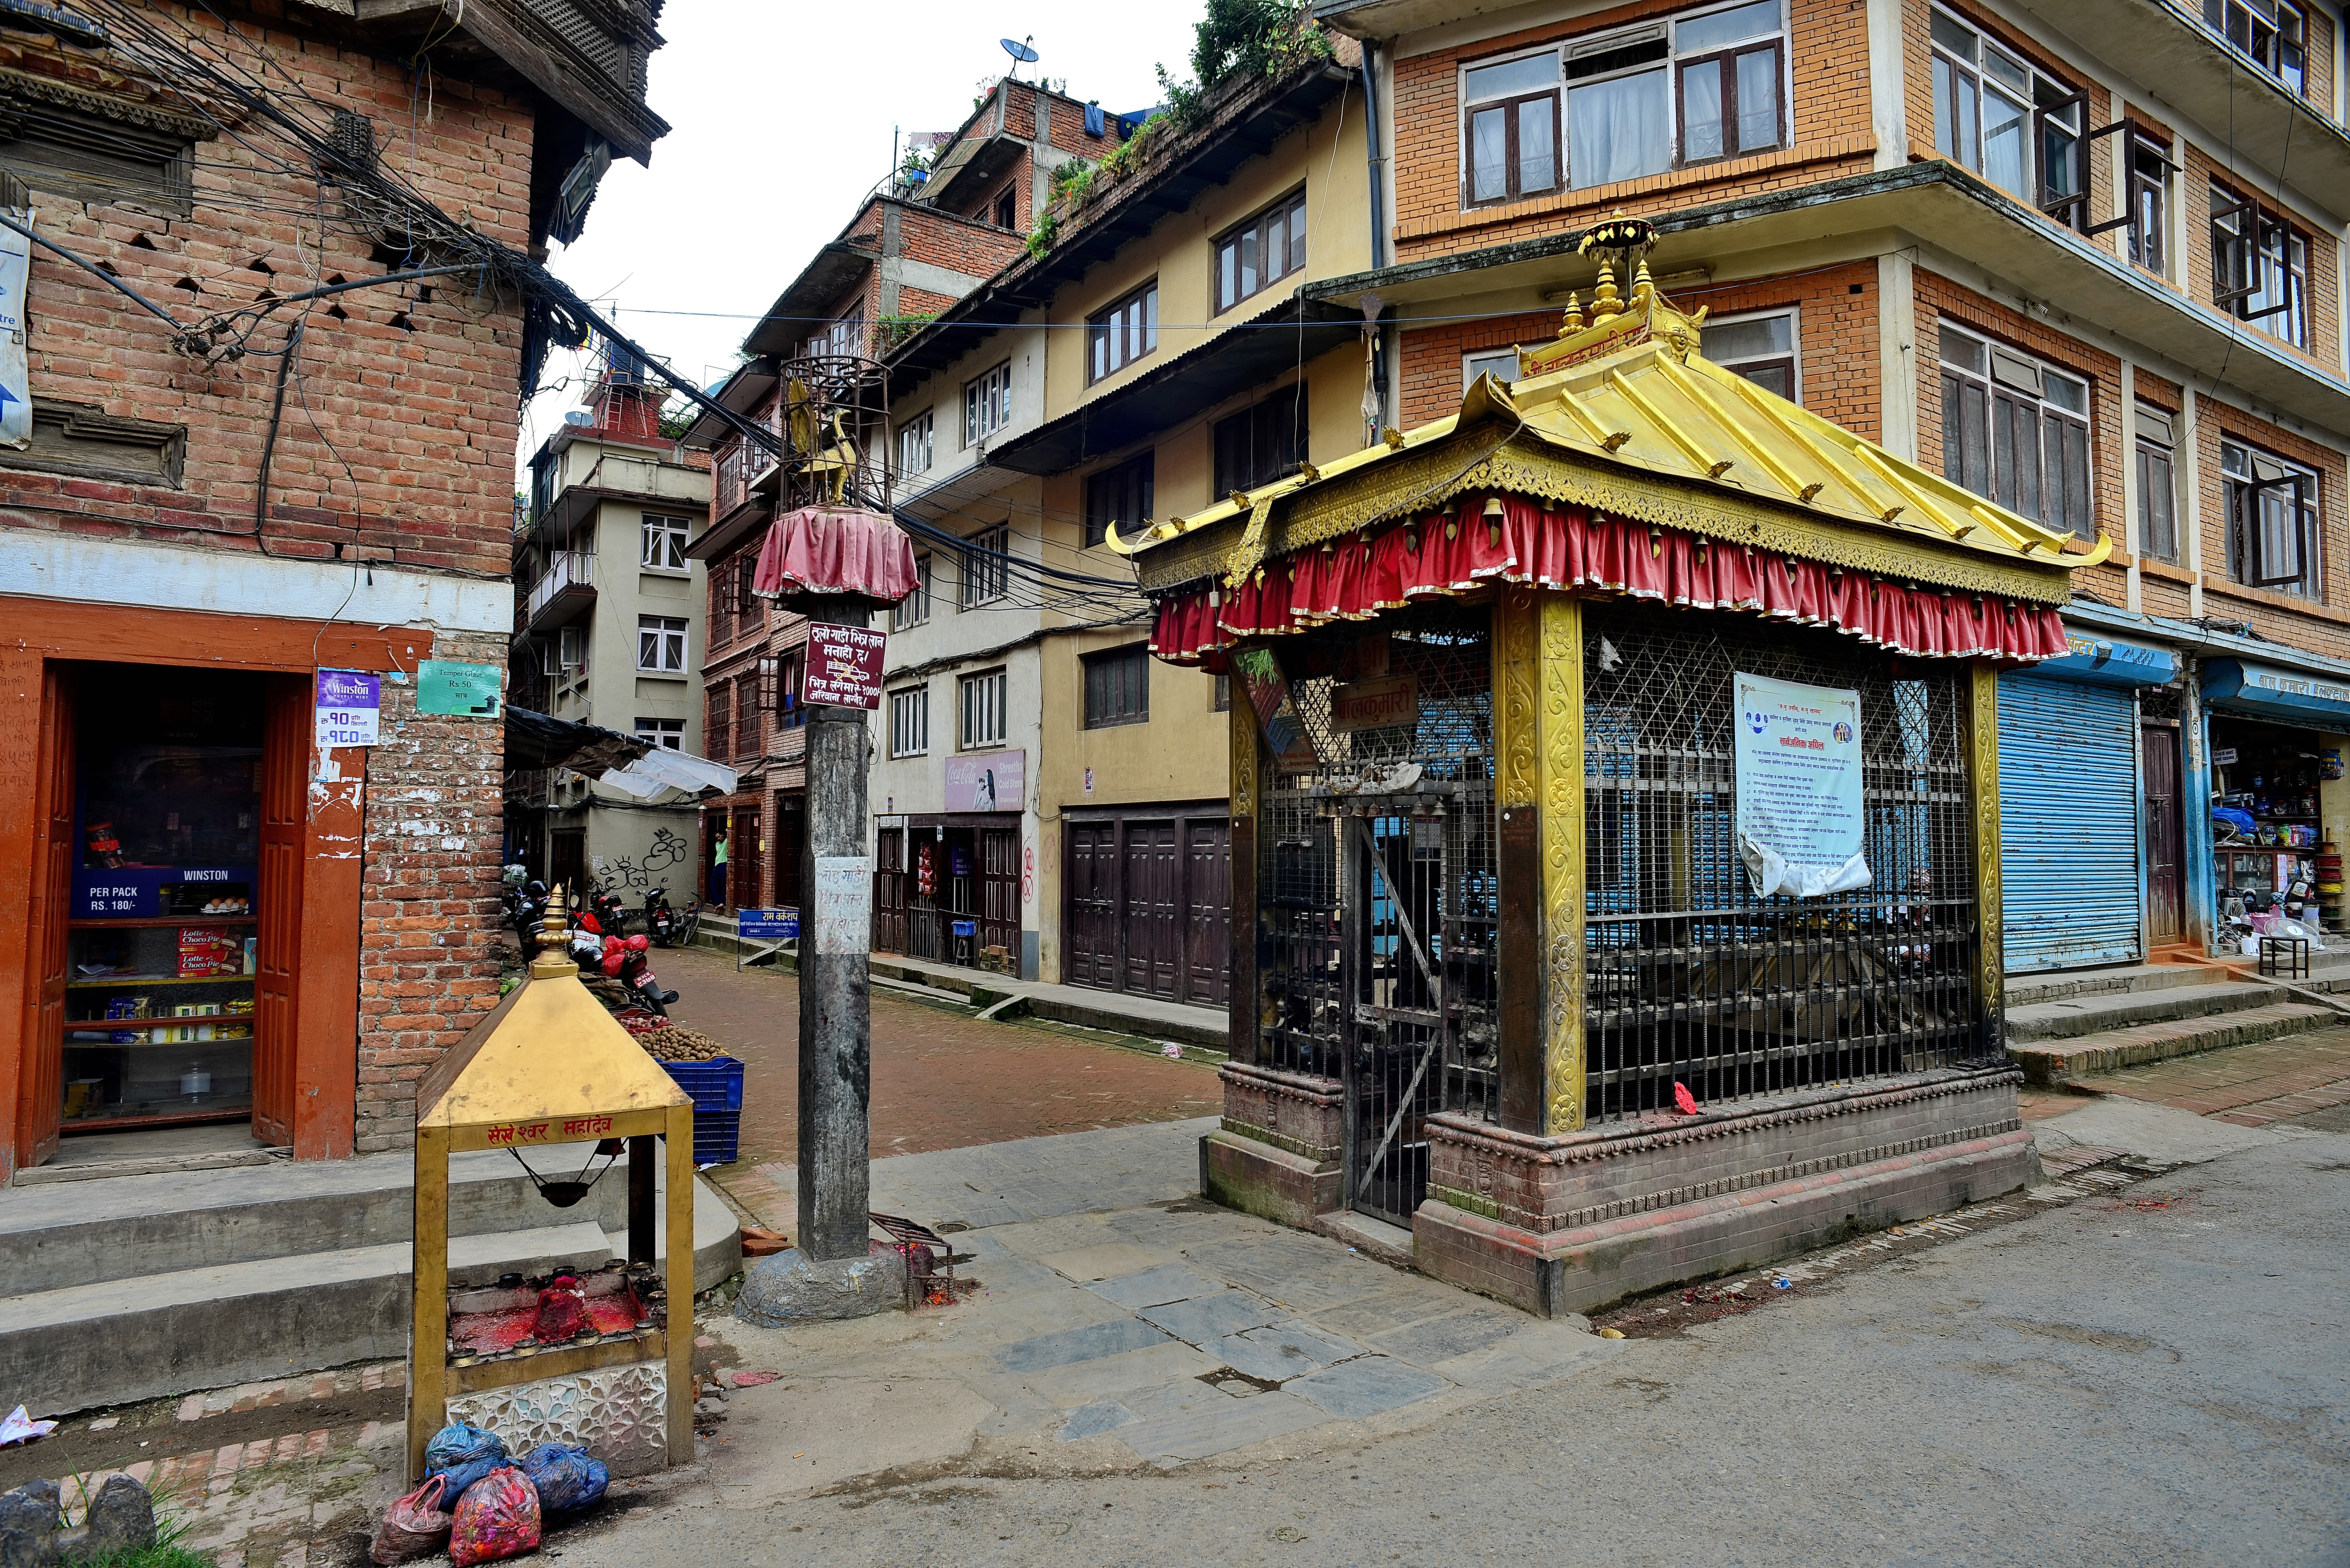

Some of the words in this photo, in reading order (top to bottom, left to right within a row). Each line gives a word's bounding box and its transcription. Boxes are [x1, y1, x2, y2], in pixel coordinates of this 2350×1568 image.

[810, 624, 831, 643] ठूलो
[830, 627, 849, 644] गाडी
[850, 627, 869, 647] भित्र
[867, 634, 885, 650] लान
[2066, 631, 2097, 658] सेन्टर
[821, 643, 854, 662] मनाही
[1356, 637, 1387, 671] શ્રી
[436, 667, 465, 678] Temper
[463, 669, 484, 680] Glass,
[329, 681, 370, 694] Winston
[447, 678, 461, 688] Rs
[451, 690, 468, 700] मात्र
[461, 679, 472, 689] 50
[807, 674, 828, 690] भित्र
[807, 689, 842, 704] जरिवाना
[829, 678, 855, 693] लगेमा
[842, 693, 864, 708] लारनेंद
[854, 682, 881, 698] रू-१०००/-
[1332, 680, 1414, 723] बालकुमारी
[2256, 674, 2278, 691] बाल
[2275, 677, 2311, 699] कुमारी
[2309, 682, 2331, 702] ઉભળ
[319, 716, 333, 726] रु.
[329, 712, 349, 726] ૧0
[349, 712, 370, 729] प्रति खिल्ली
[318, 735, 329, 743] रु
[328, 730, 360, 744] 9CO
[358, 731, 375, 745] प्रति प्याक
[1778, 735, 1808, 748] सार्वजनिक
[1807, 737, 1826, 752] अपिल
[944, 760, 980, 788] Coca-Cola
[997, 760, 1024, 774] Shrestha
[997, 778, 1009, 790] Cold
[1008, 778, 1023, 788] Store
[179, 868, 230, 884] WINSTON
[86, 885, 111, 898] PER
[110, 886, 140, 898] PACK
[88, 898, 109, 912] RS.
[109, 898, 139, 914] 180/-
[761, 910, 776, 921] राम
[775, 910, 800, 922] वर्कशप
[181, 929, 205, 937] Lotte
[180, 936, 208, 945] Choco
[206, 934, 220, 943] Pie
[179, 961, 206, 970] Choco
[182, 954, 205, 962] Lotte
[206, 960, 220, 968] Pie
[484, 1121, 551, 1145] संखेश्वर
[561, 1113, 615, 1139] महादेव